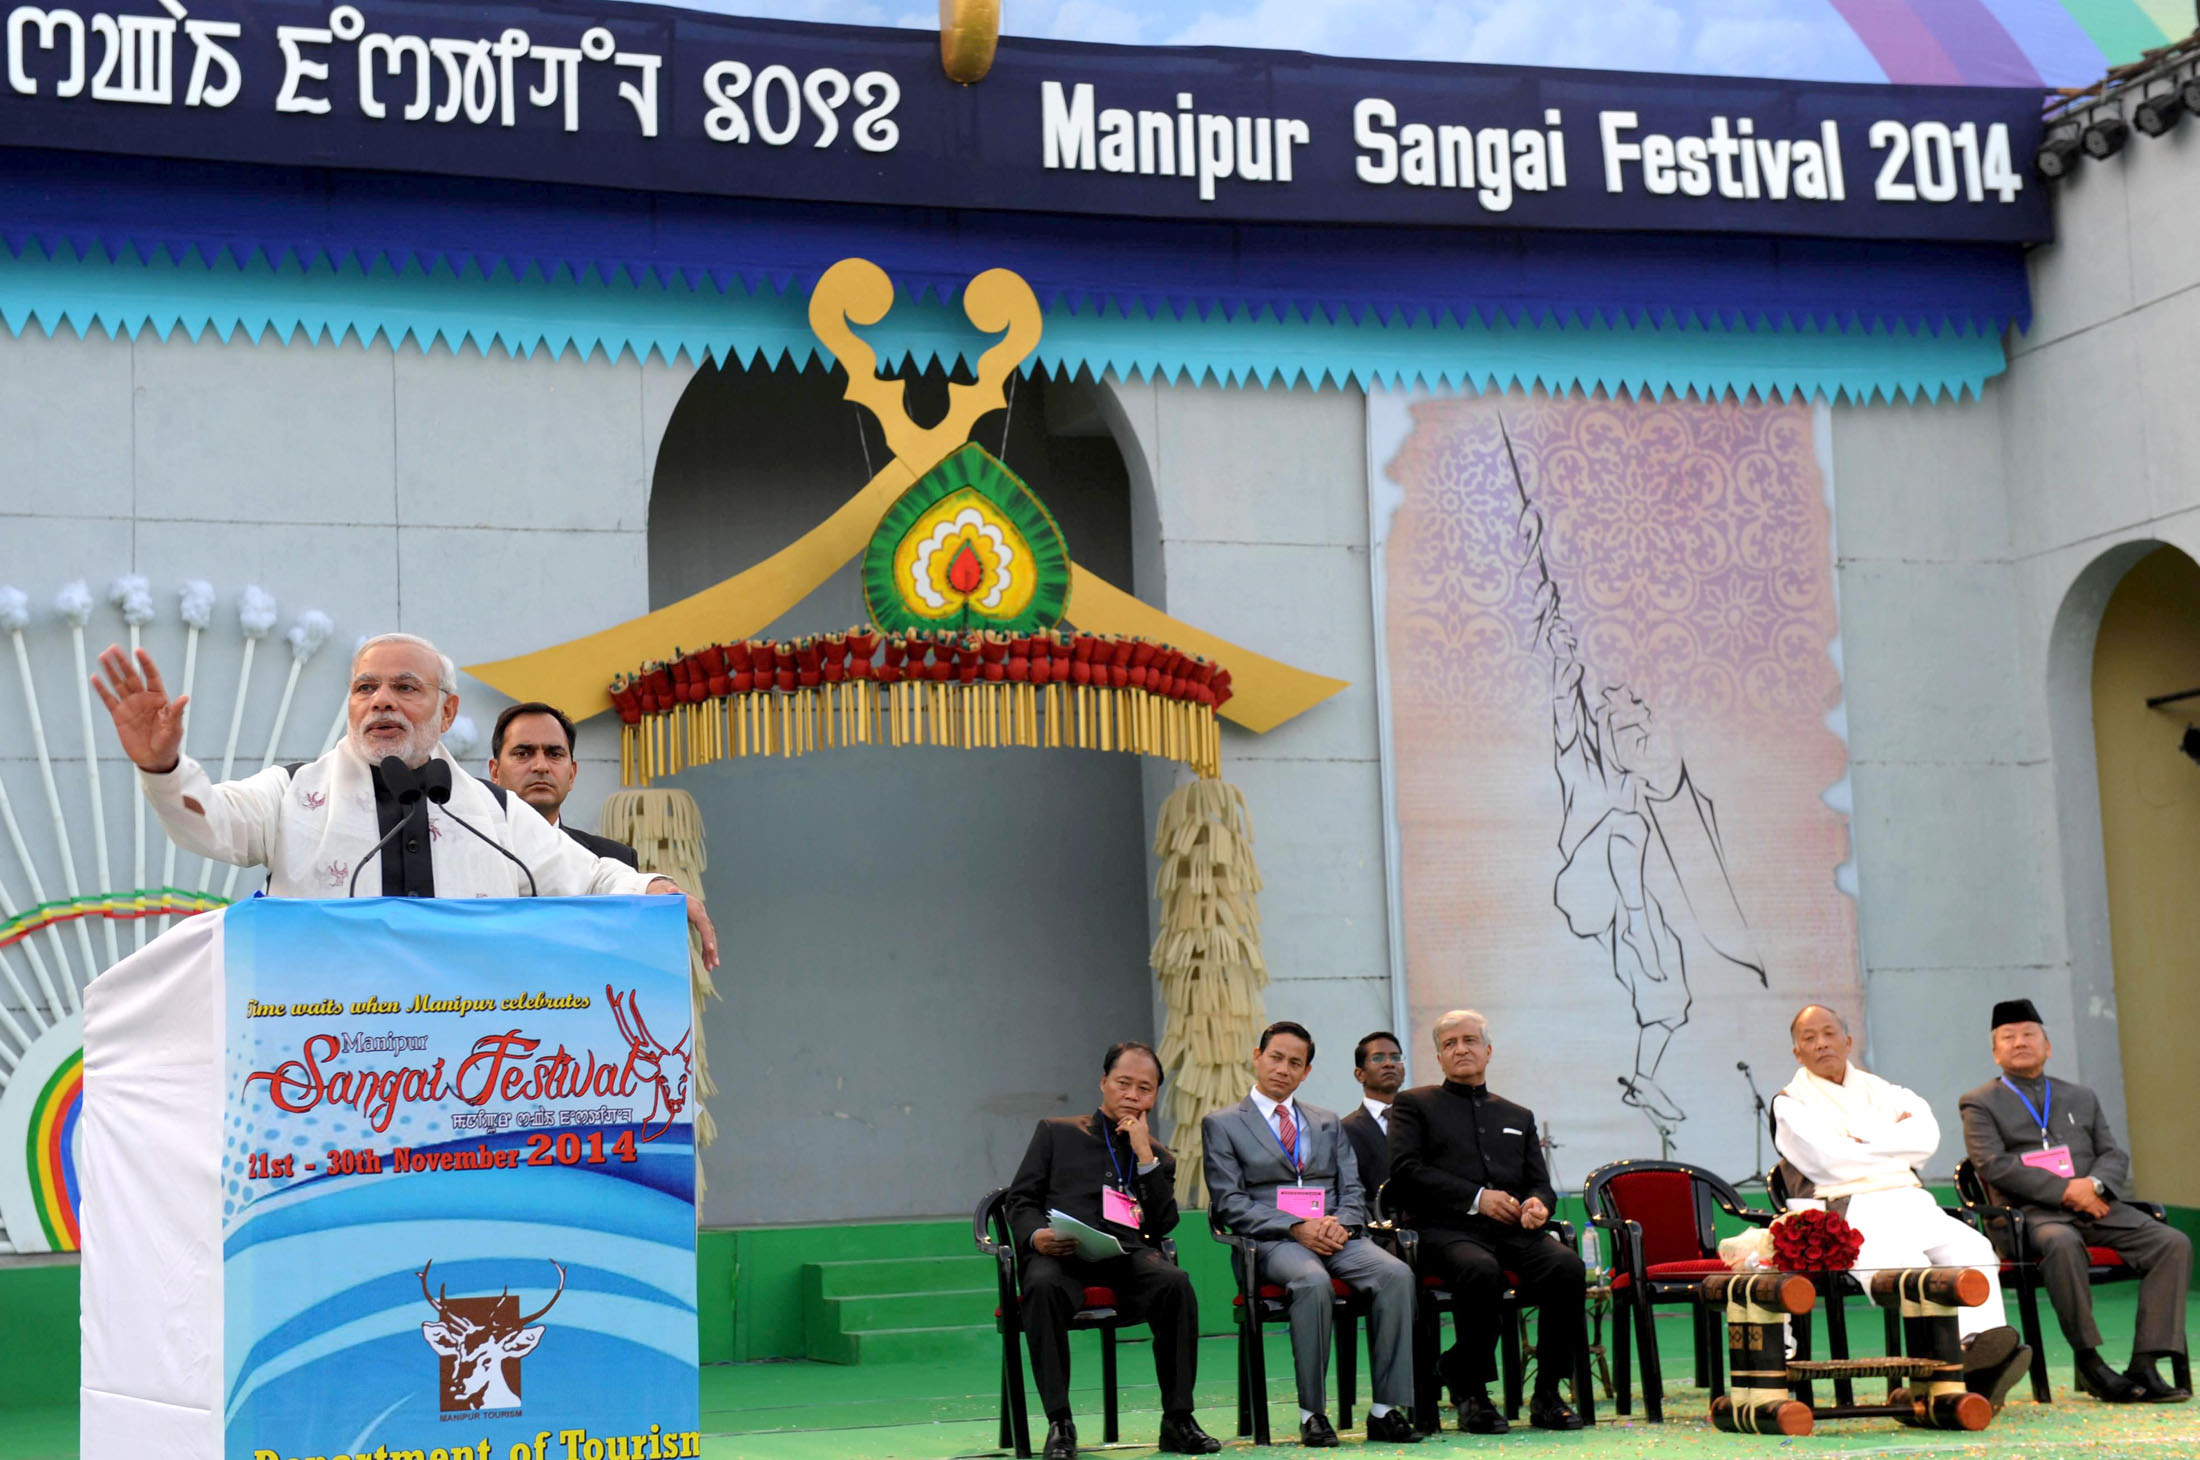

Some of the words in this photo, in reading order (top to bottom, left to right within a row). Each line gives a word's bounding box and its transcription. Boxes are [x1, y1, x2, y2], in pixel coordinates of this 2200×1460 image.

[3, 0, 255, 113] ꯁꯉꯥꯏ
[271, 2, 673, 141] ꯐꯦꯁꯇꯤꯚꯦꯜ
[693, 50, 904, 163] ꯲꯰꯱꯴
[1035, 75, 1319, 207] Manipur
[1344, 93, 1583, 212] Sangai
[1594, 105, 1851, 205] Festival
[1856, 109, 2027, 212] 2014
[239, 992, 289, 1025] Time
[285, 995, 350, 1022] waits
[346, 992, 401, 1020] when
[401, 987, 501, 1019] Manipur
[497, 985, 599, 1014] celebrates
[339, 1020, 434, 1063] Manipur
[235, 1024, 461, 1142] Sangat
[449, 1021, 673, 1113] Festival
[446, 1104, 517, 1139] ꯃꯅꯤꯄꯨꯔ
[508, 1097, 559, 1134] ꯁꯉꯥꯏ
[553, 1101, 639, 1131] ꯐꯦꯁꯇꯤꯚꯦꯜ
[239, 1144, 303, 1185] 21st
[323, 1141, 390, 1184] 30th
[393, 1141, 527, 1176] November
[519, 1125, 647, 1175] 2014
[436, 1407, 485, 1425] MANIPUR
[477, 1403, 528, 1425] TOURISM
[557, 1419, 711, 1459] Tourism